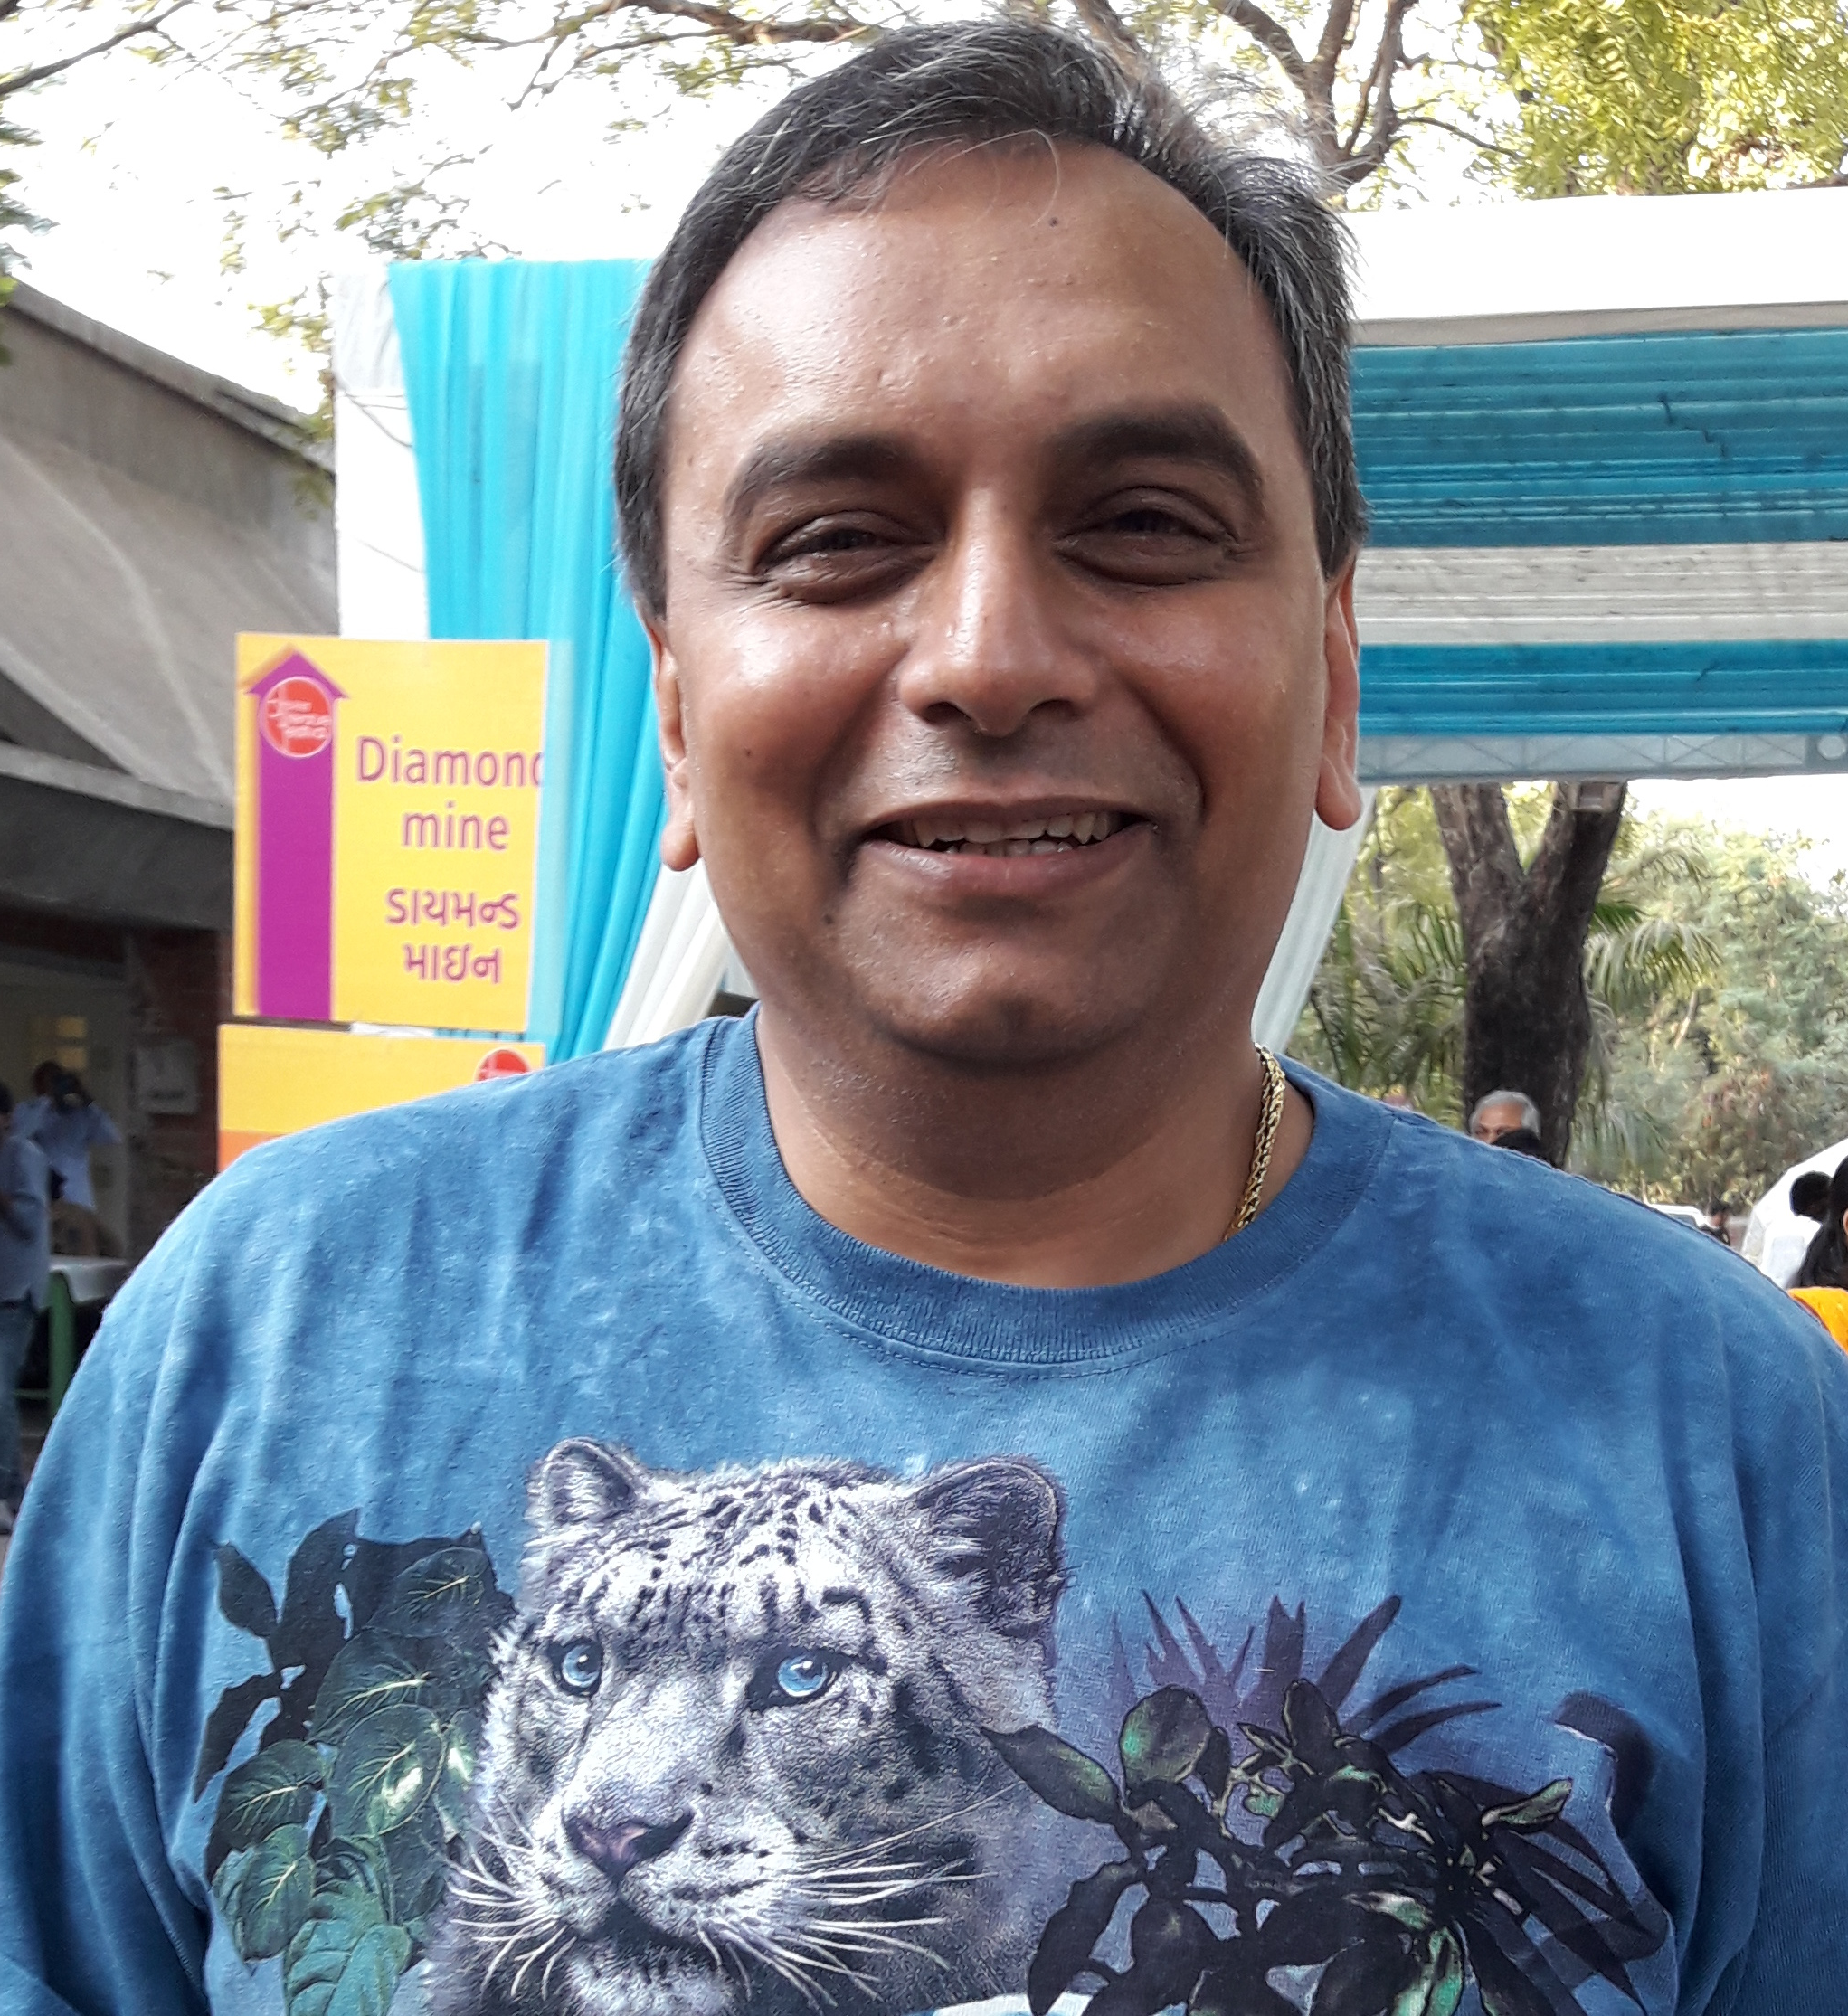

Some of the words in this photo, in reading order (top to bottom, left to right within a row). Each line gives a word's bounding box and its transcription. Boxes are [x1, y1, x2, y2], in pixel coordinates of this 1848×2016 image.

[353, 728, 545, 792] Diamond
[393, 800, 518, 860] mine
[375, 878, 526, 943] ડાયમન્ડ
[393, 939, 507, 991] માઇન